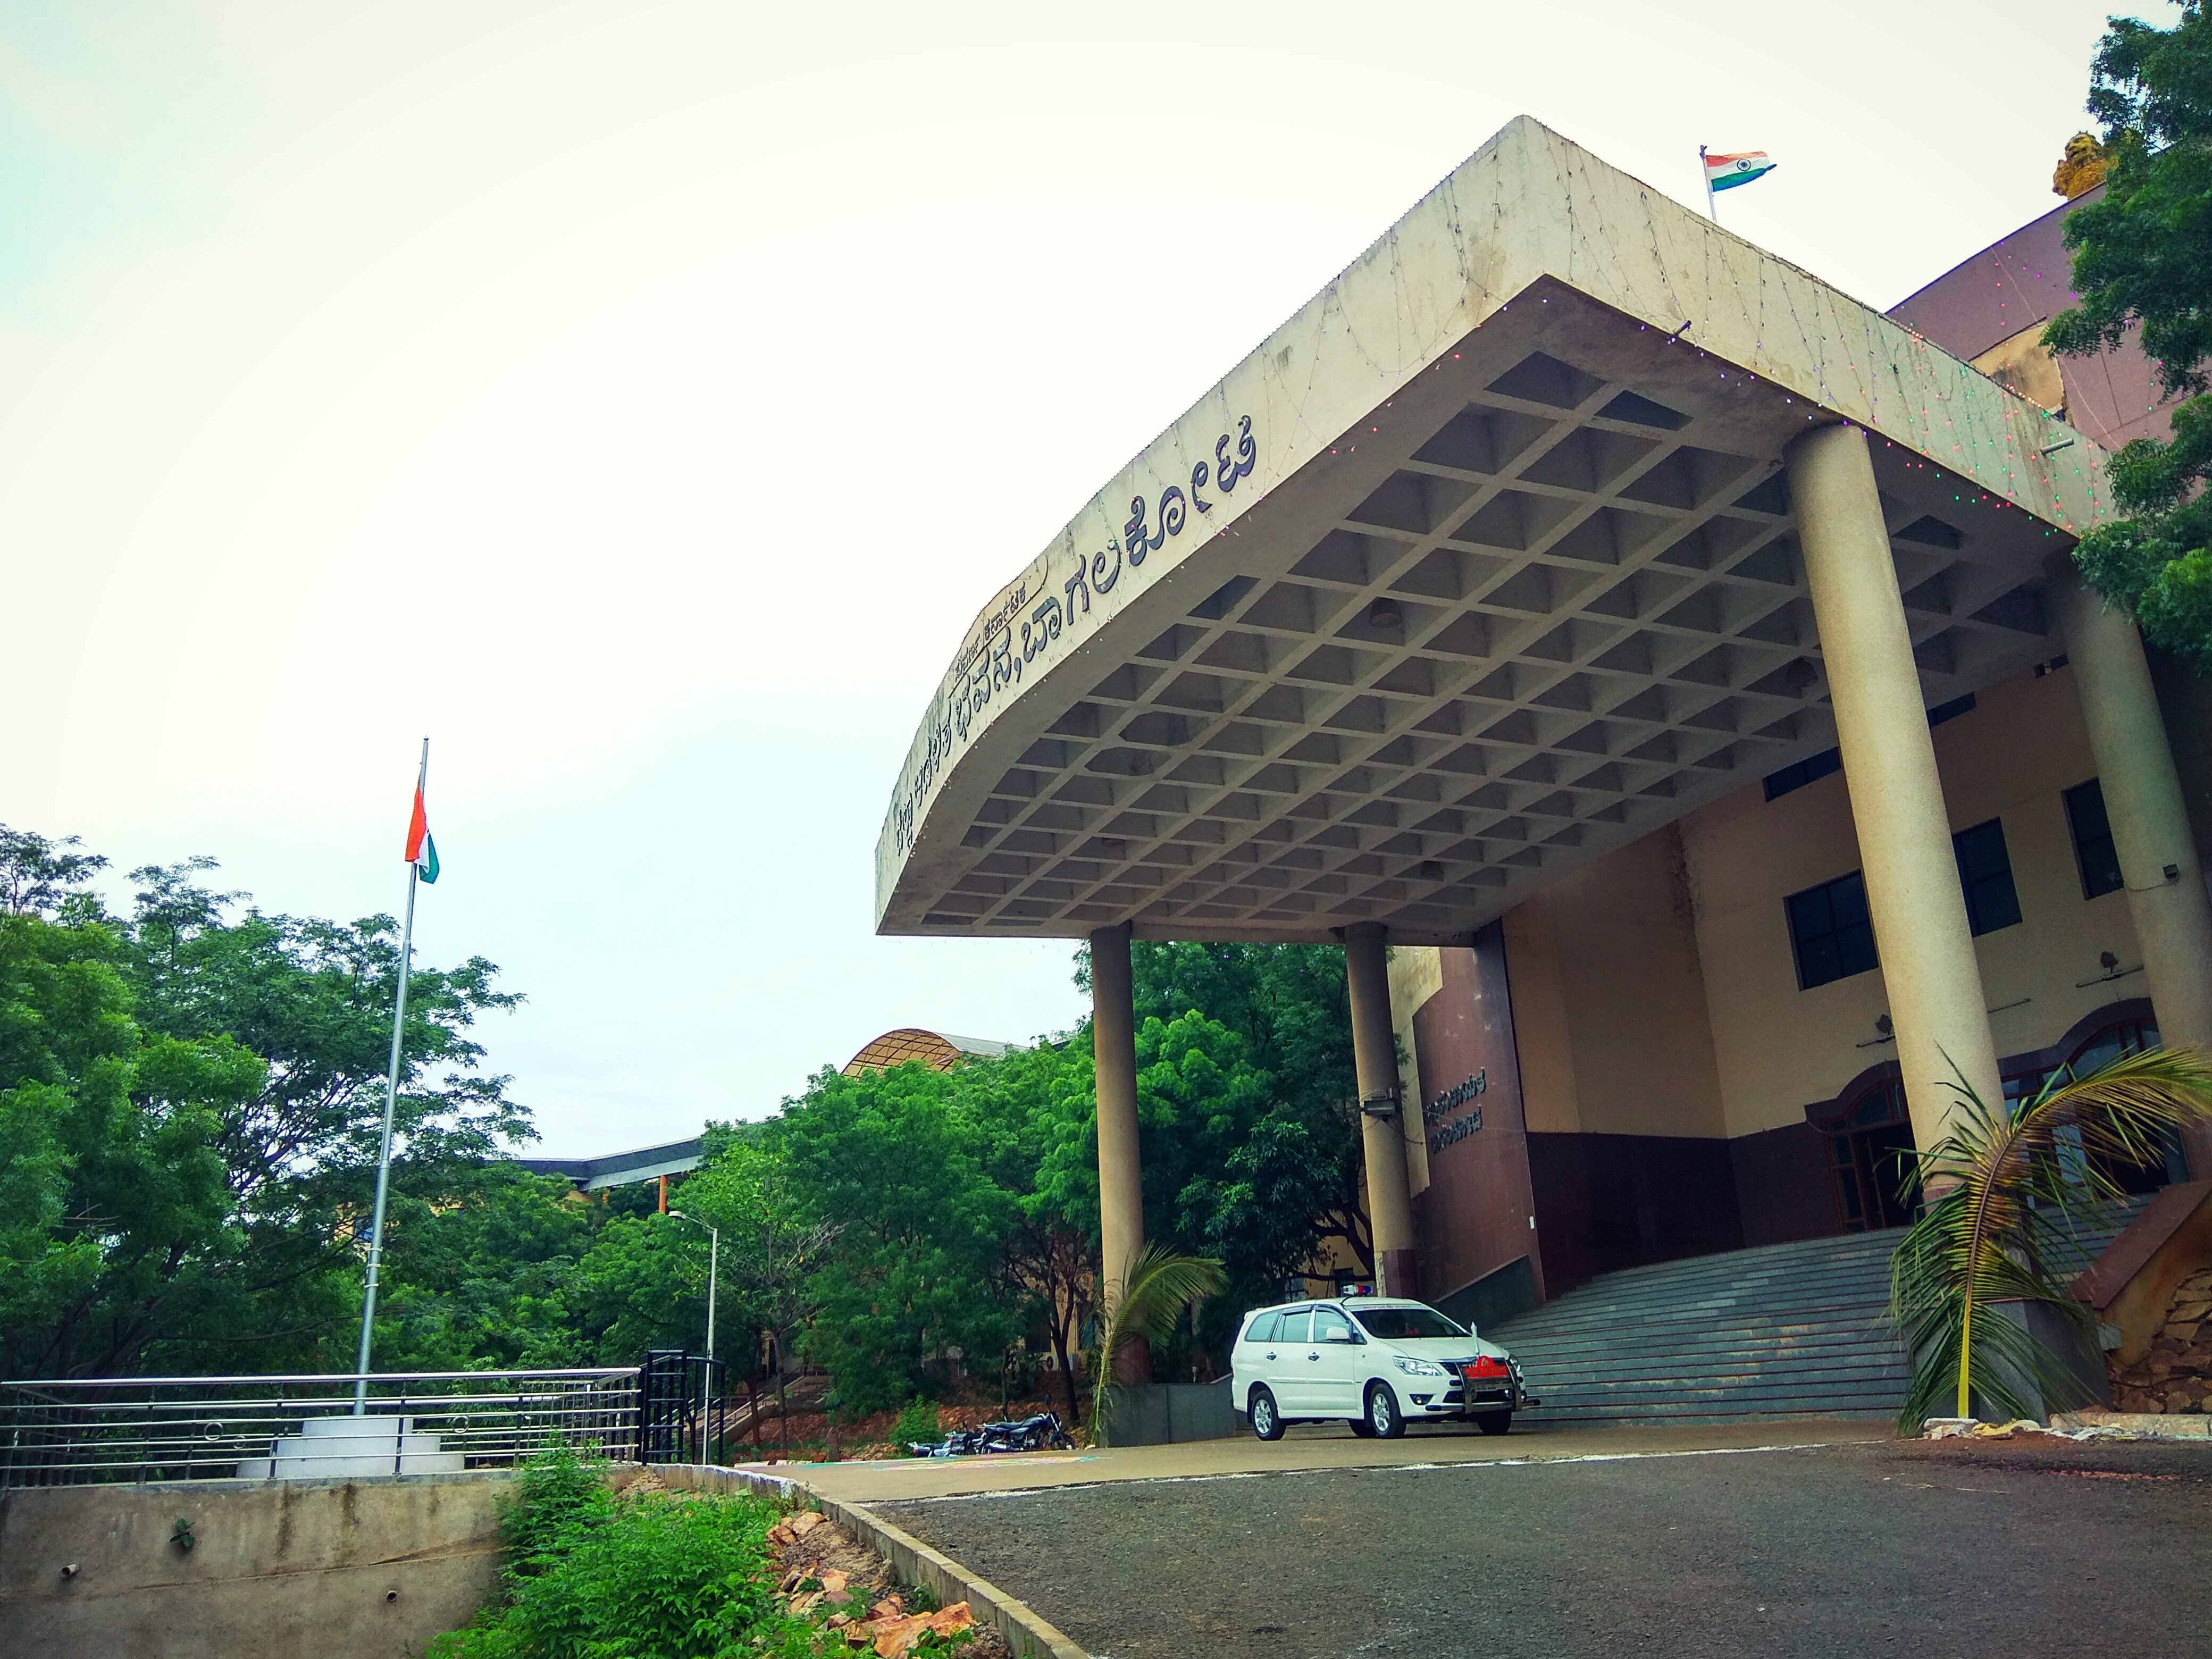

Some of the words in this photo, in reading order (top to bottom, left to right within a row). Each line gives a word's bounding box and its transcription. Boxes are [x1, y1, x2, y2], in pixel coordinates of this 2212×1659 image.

[1015, 410, 1260, 669] ಬಾಗಲಕೋಟೆ
[977, 576, 1029, 643] ಕರ್ನಾಟಕ
[950, 631, 982, 685] ಸುವರ್ಣ
[909, 619, 1025, 814] ಆಡಳಿತ ಭವನ,
[890, 791, 918, 860] ಜಿಲ್ಲಾ